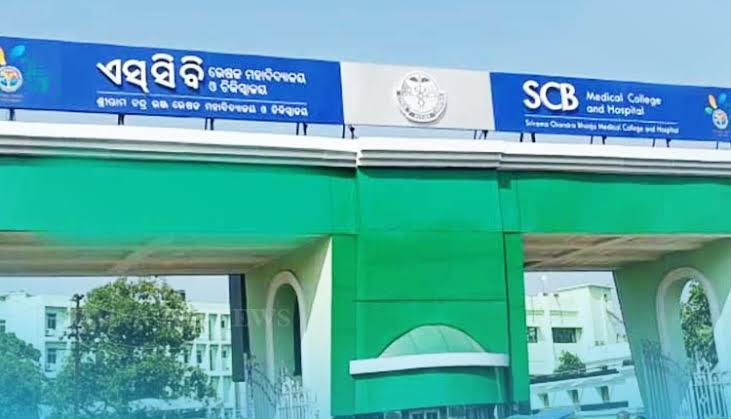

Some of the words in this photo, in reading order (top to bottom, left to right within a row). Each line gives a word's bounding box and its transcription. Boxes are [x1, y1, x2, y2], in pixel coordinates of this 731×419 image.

[90, 45, 213, 95] ଏସ୍ ସି ବି
[240, 65, 315, 85] ମହାବିଦ୍ୟାଳୟ
[517, 76, 581, 115] SCB
[583, 86, 627, 107] Medical
[621, 85, 668, 106] College
[583, 101, 610, 118] and
[604, 100, 649, 117] Hospital